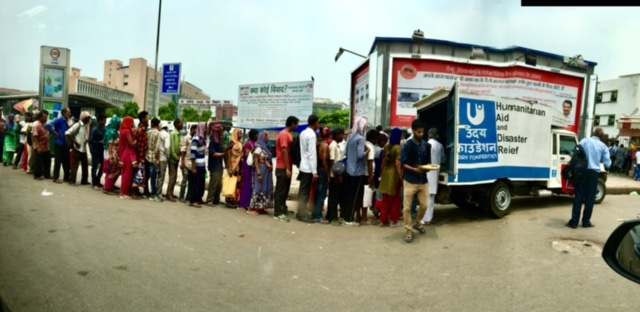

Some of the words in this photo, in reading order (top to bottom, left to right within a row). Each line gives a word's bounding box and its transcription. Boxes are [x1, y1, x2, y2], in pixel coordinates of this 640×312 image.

[491, 110, 513, 124] ५६८५
[492, 98, 551, 121] Humanitarian
[460, 127, 489, 141] उदय
[495, 131, 533, 145] Disaster
[453, 137, 501, 157] फाउंडेशन
[494, 143, 521, 159] Reief